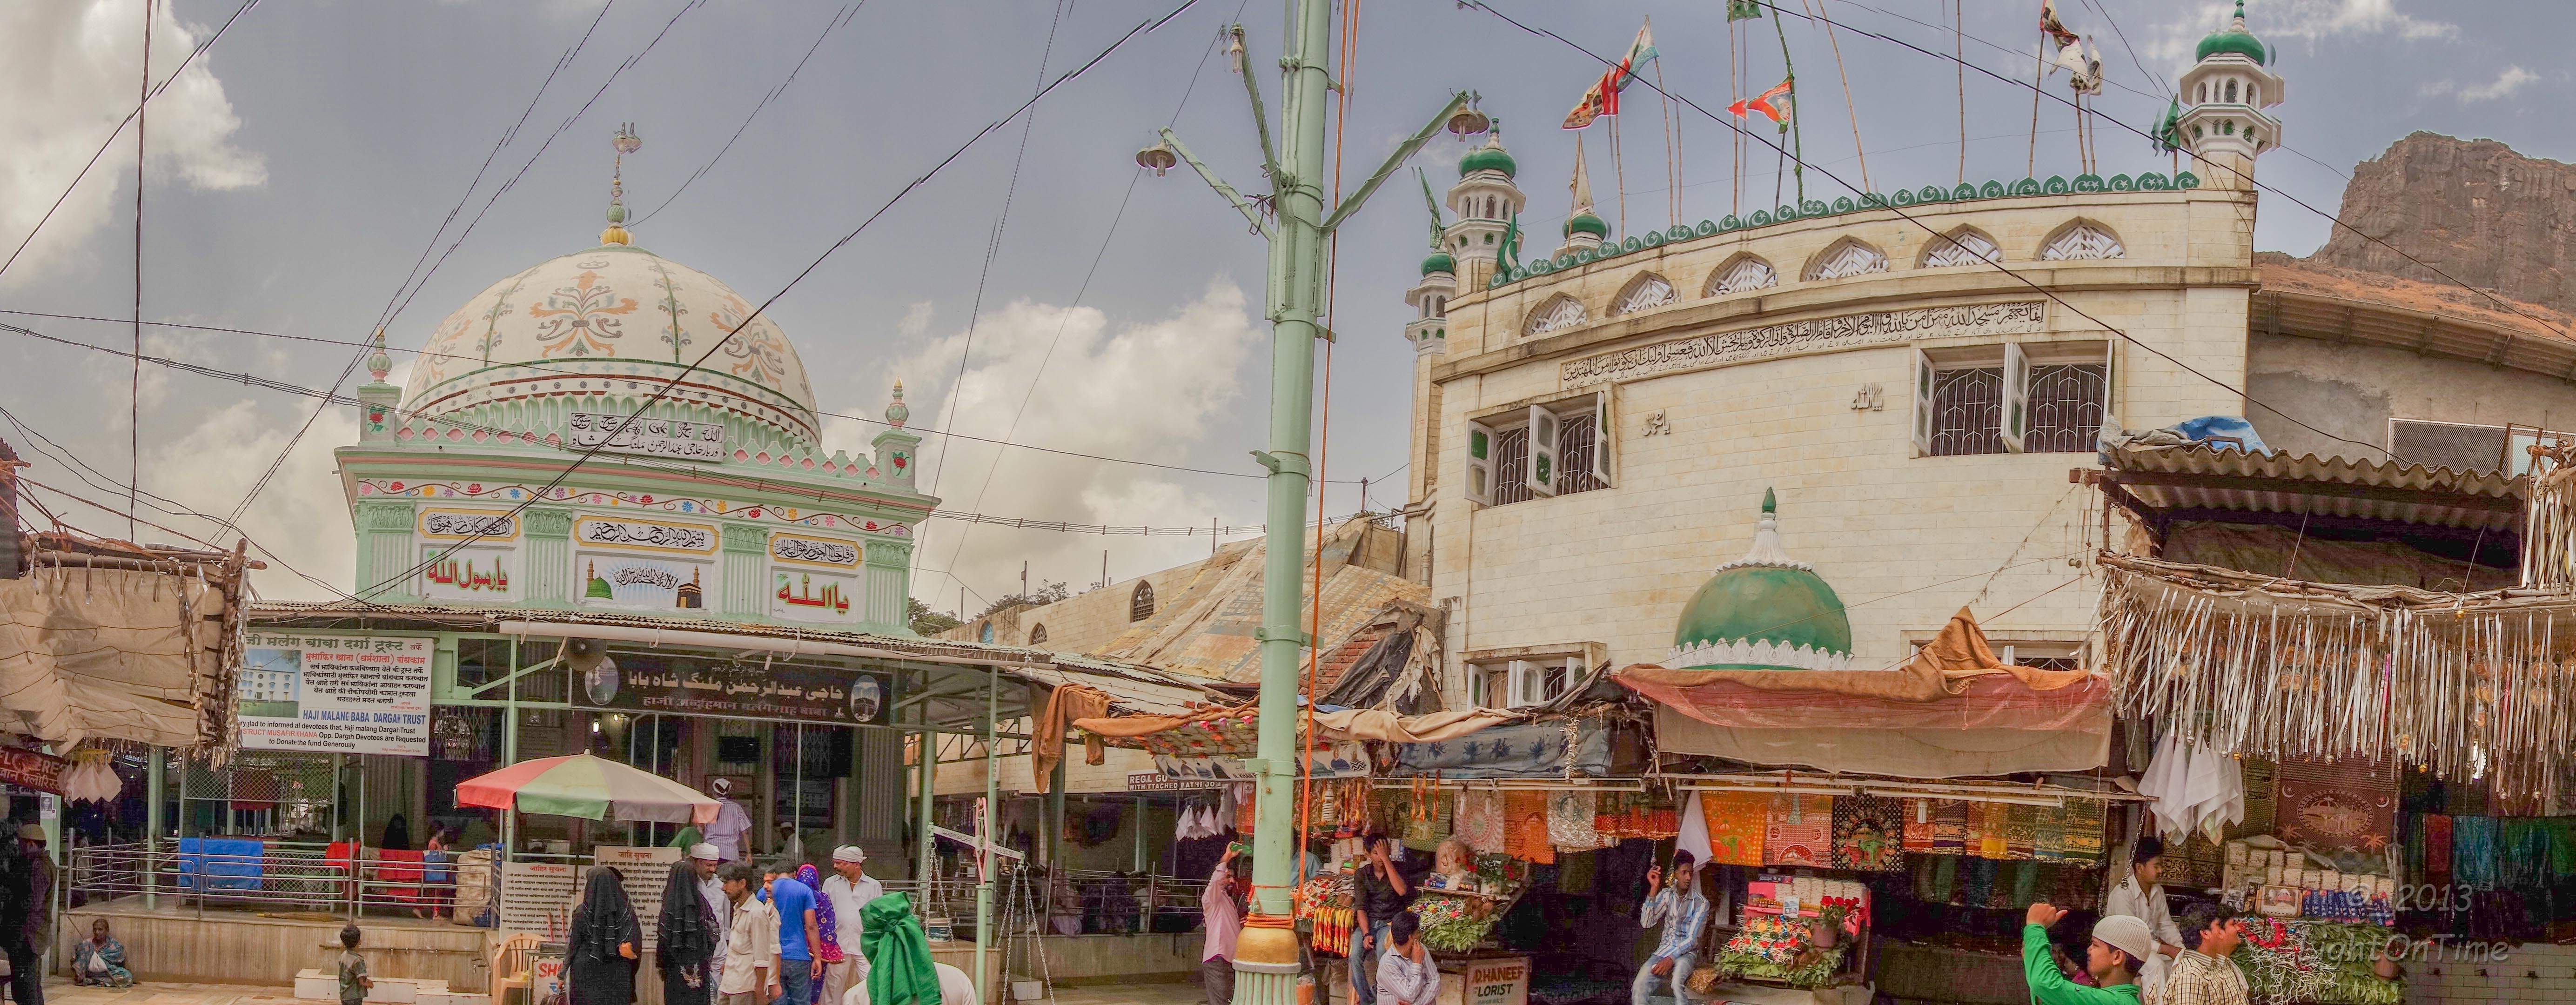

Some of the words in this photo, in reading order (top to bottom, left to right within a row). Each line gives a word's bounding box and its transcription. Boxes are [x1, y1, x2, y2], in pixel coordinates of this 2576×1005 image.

[265, 634, 302, 648] मलंग
[302, 634, 341, 650] बाबा
[340, 636, 372, 652] दर्गा
[370, 636, 407, 654] ट्रस्ट
[409, 638, 426, 654] तर्फे
[304, 650, 335, 663] मुसाफिर
[334, 652, 355, 663] खाना
[356, 651, 396, 665] (धर्मशाला)
[396, 653, 427, 666] बांधकाम
[302, 678, 316, 686] येत
[308, 662, 322, 670] सर्व
[312, 685, 323, 695] येत
[301, 670, 337, 680] भाविकांसाठी
[315, 679, 329, 687] आहे
[323, 686, 337, 695] आहे
[328, 679, 340, 687] तरी
[320, 663, 349, 671] भाविकांना
[337, 686, 346, 695] की
[339, 679, 350, 687] सर्व
[334, 695, 361, 704] सटल्हस्ते
[337, 671, 359, 680] मुसफिर
[346, 686, 379, 697] लोकोपयोगी
[349, 680, 378, 688] भाविकांना
[348, 664, 381, 672] कळविण्यात
[361, 695, 376, 705] मदत
[359, 672, 381, 680] खानाचे
[376, 697, 395, 705] करावी
[380, 664, 392, 673] येते
[378, 689, 398, 697] कामात
[378, 681, 402, 689] आवाहन
[381, 672, 404, 682] बांधकम
[391, 665, 400, 673] की
[399, 665, 412, 675] ट्रस्ट
[398, 690, 418, 699] ट्रस्टला
[402, 682, 427, 691] करण्यात
[404, 675, 429, 683] करण्यात
[413, 666, 426, 675] तर्फे
[639, 694, 674, 709] हाजी
[674, 696, 741, 714] अब्दुर्रहमान
[260, 718, 266, 728] to
[265, 738, 276, 747] to
[266, 719, 295, 730] informed
[266, 728, 295, 737] MUSAFIR
[275, 737, 307, 748] Donatethe
[294, 720, 301, 730] al
[295, 730, 319, 739] KHANA
[300, 707, 320, 721] HAJI
[307, 738, 322, 747] fund
[301, 720, 329, 731] devotees
[318, 730, 334, 740] Opp.
[320, 709, 350, 723] MALANG
[328, 722, 345, 732] that,
[322, 739, 358, 751] Generously
[333, 732, 355, 741] Dargah
[344, 723, 356, 733] Haji
[350, 710, 371, 724] BABA
[355, 724, 378, 734] malang
[355, 733, 384, 742] Devotees
[373, 710, 402, 724] DARGAH
[384, 734, 394, 743] are
[378, 725, 401, 734] Dargah
[400, 725, 417, 735] Trust
[395, 734, 427, 745] Requested
[402, 713, 426, 726] TRUST
[1128, 773, 1154, 784] REGL
[1127, 783, 1147, 791] WITH
[2363, 881, 2475, 923] _2013
[2293, 927, 2509, 971] LightOnTime
[1483, 964, 1525, 985] HANEEF
[1470, 983, 1516, 999] FLORIST